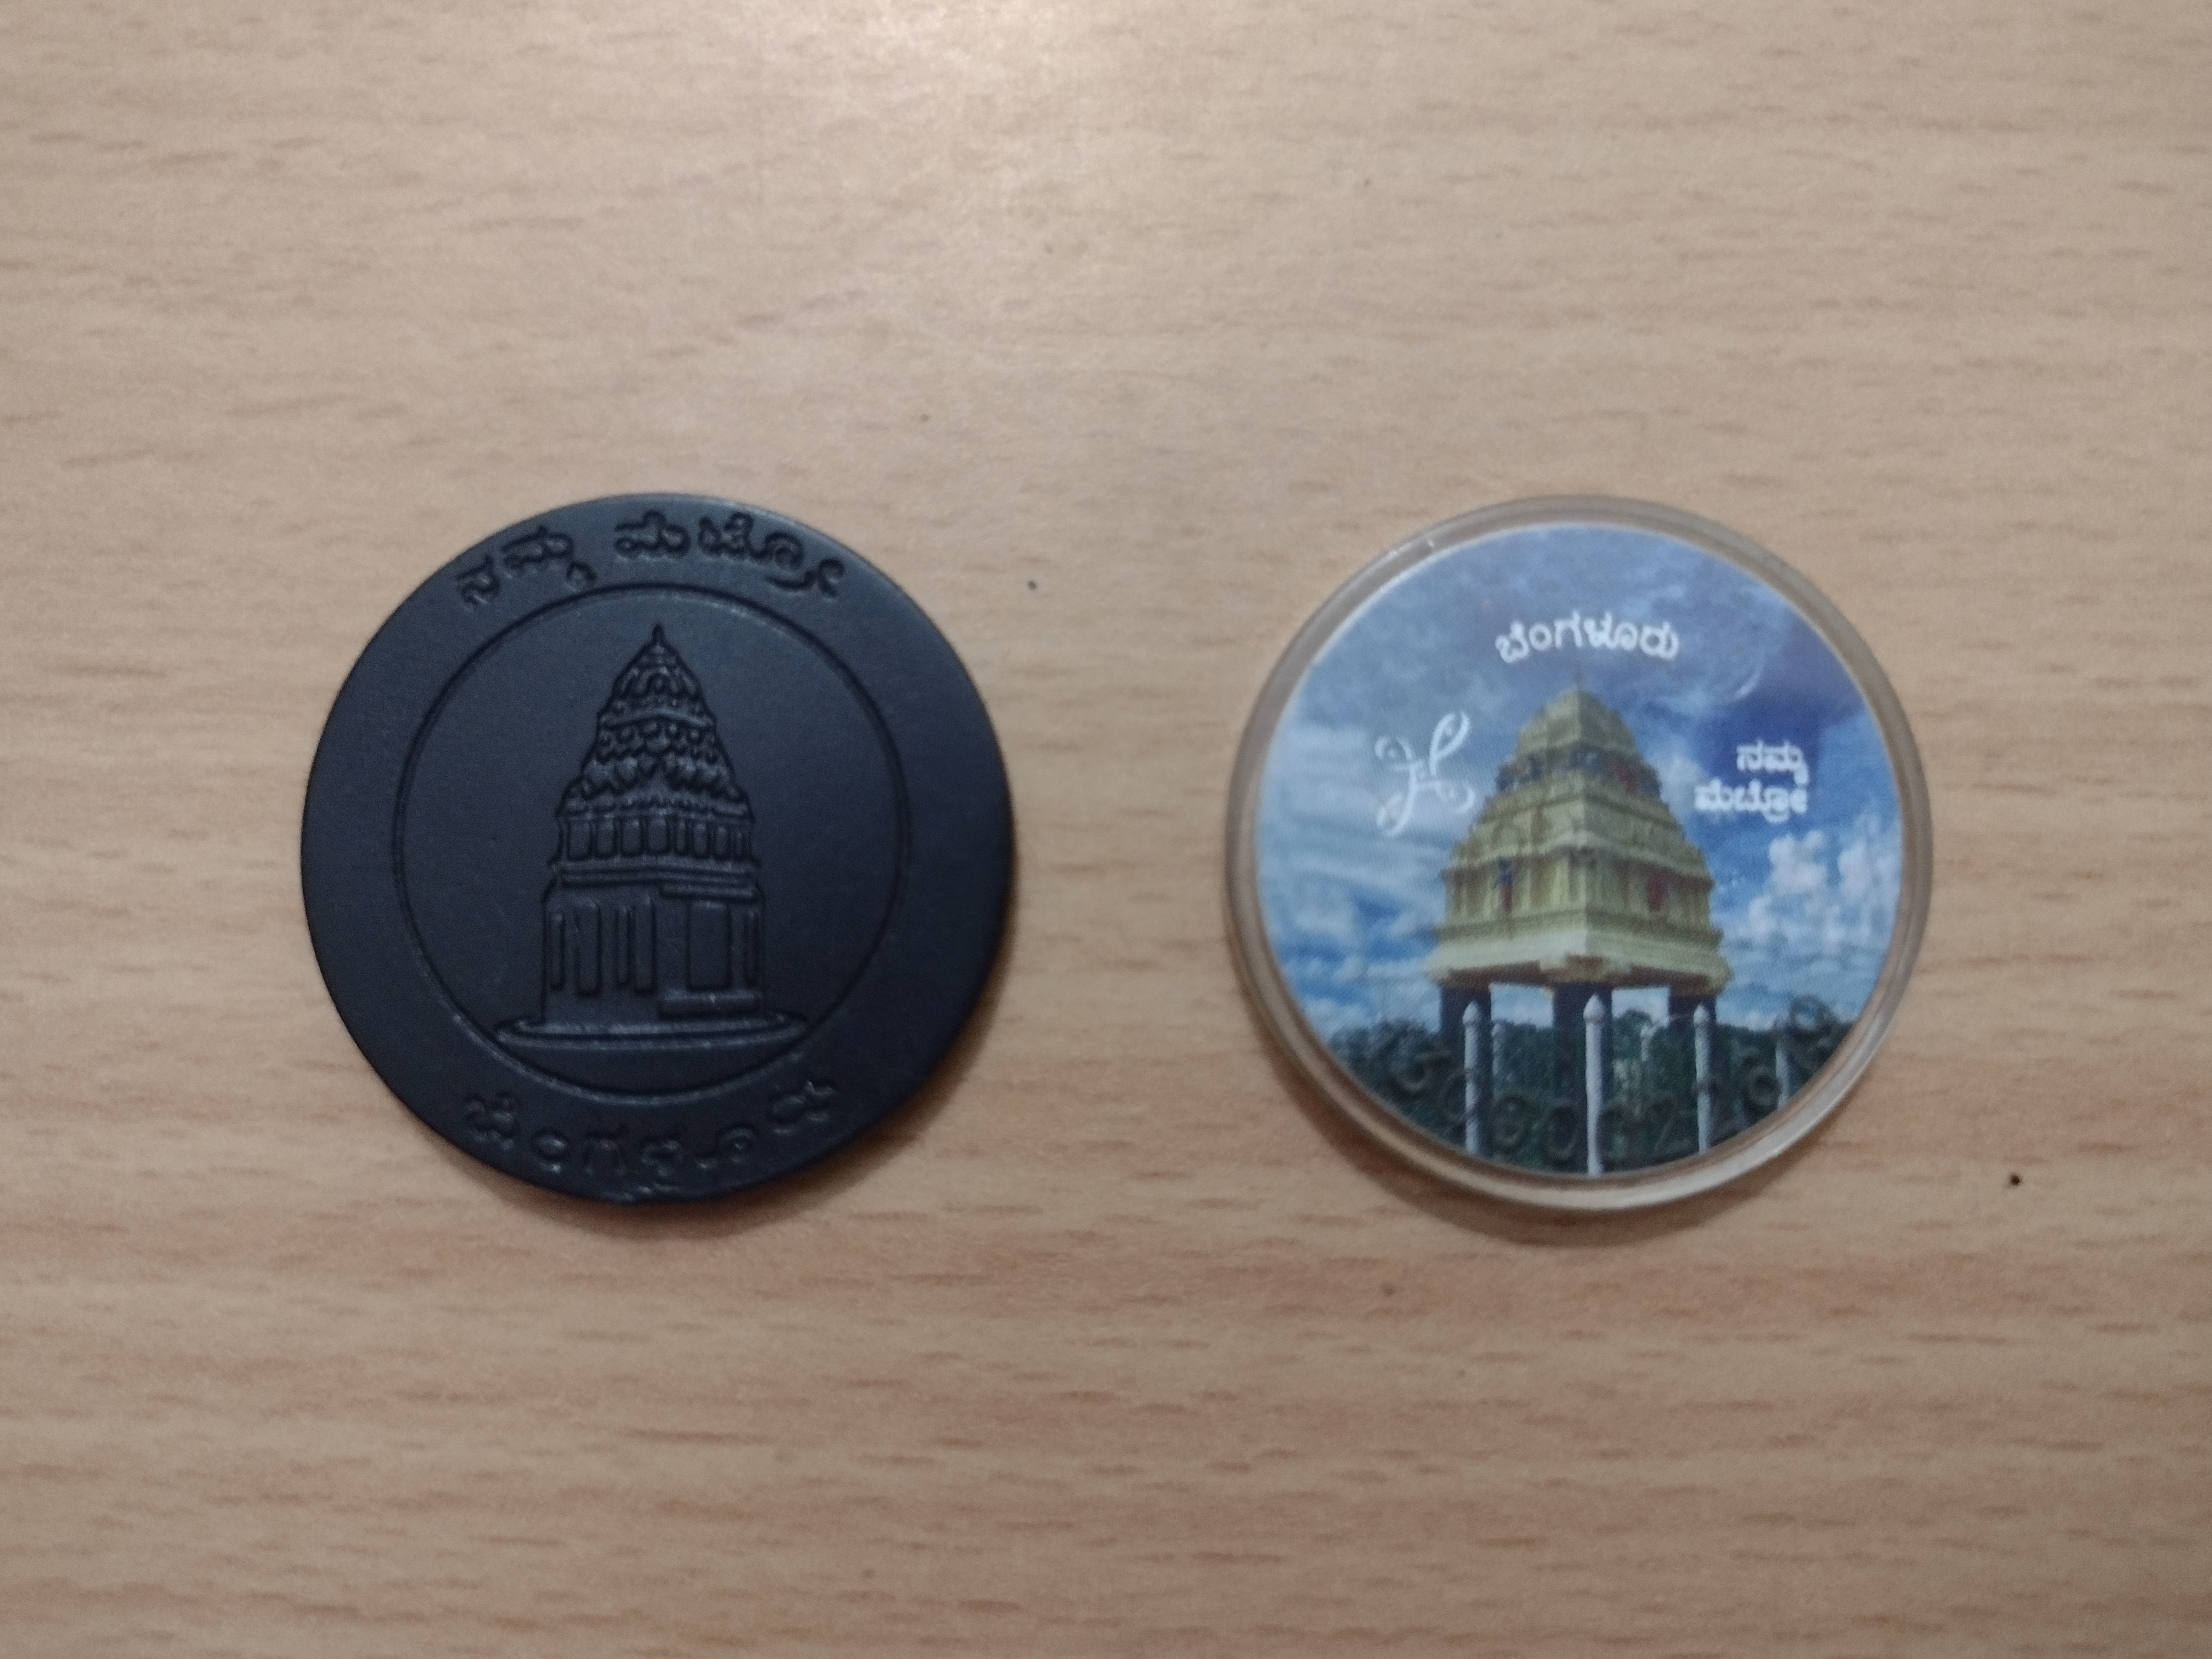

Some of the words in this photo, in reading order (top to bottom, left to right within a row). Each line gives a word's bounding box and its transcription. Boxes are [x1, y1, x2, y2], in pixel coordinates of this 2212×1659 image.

[436, 513, 609, 618] ನಮ್ಗ್ರ
[1486, 605, 1690, 676] ಬೆಂಗಳೂರು
[1723, 731, 1815, 792] ನಮ್ಶ
[1687, 770, 1818, 828] ಮಟ್ರೋ